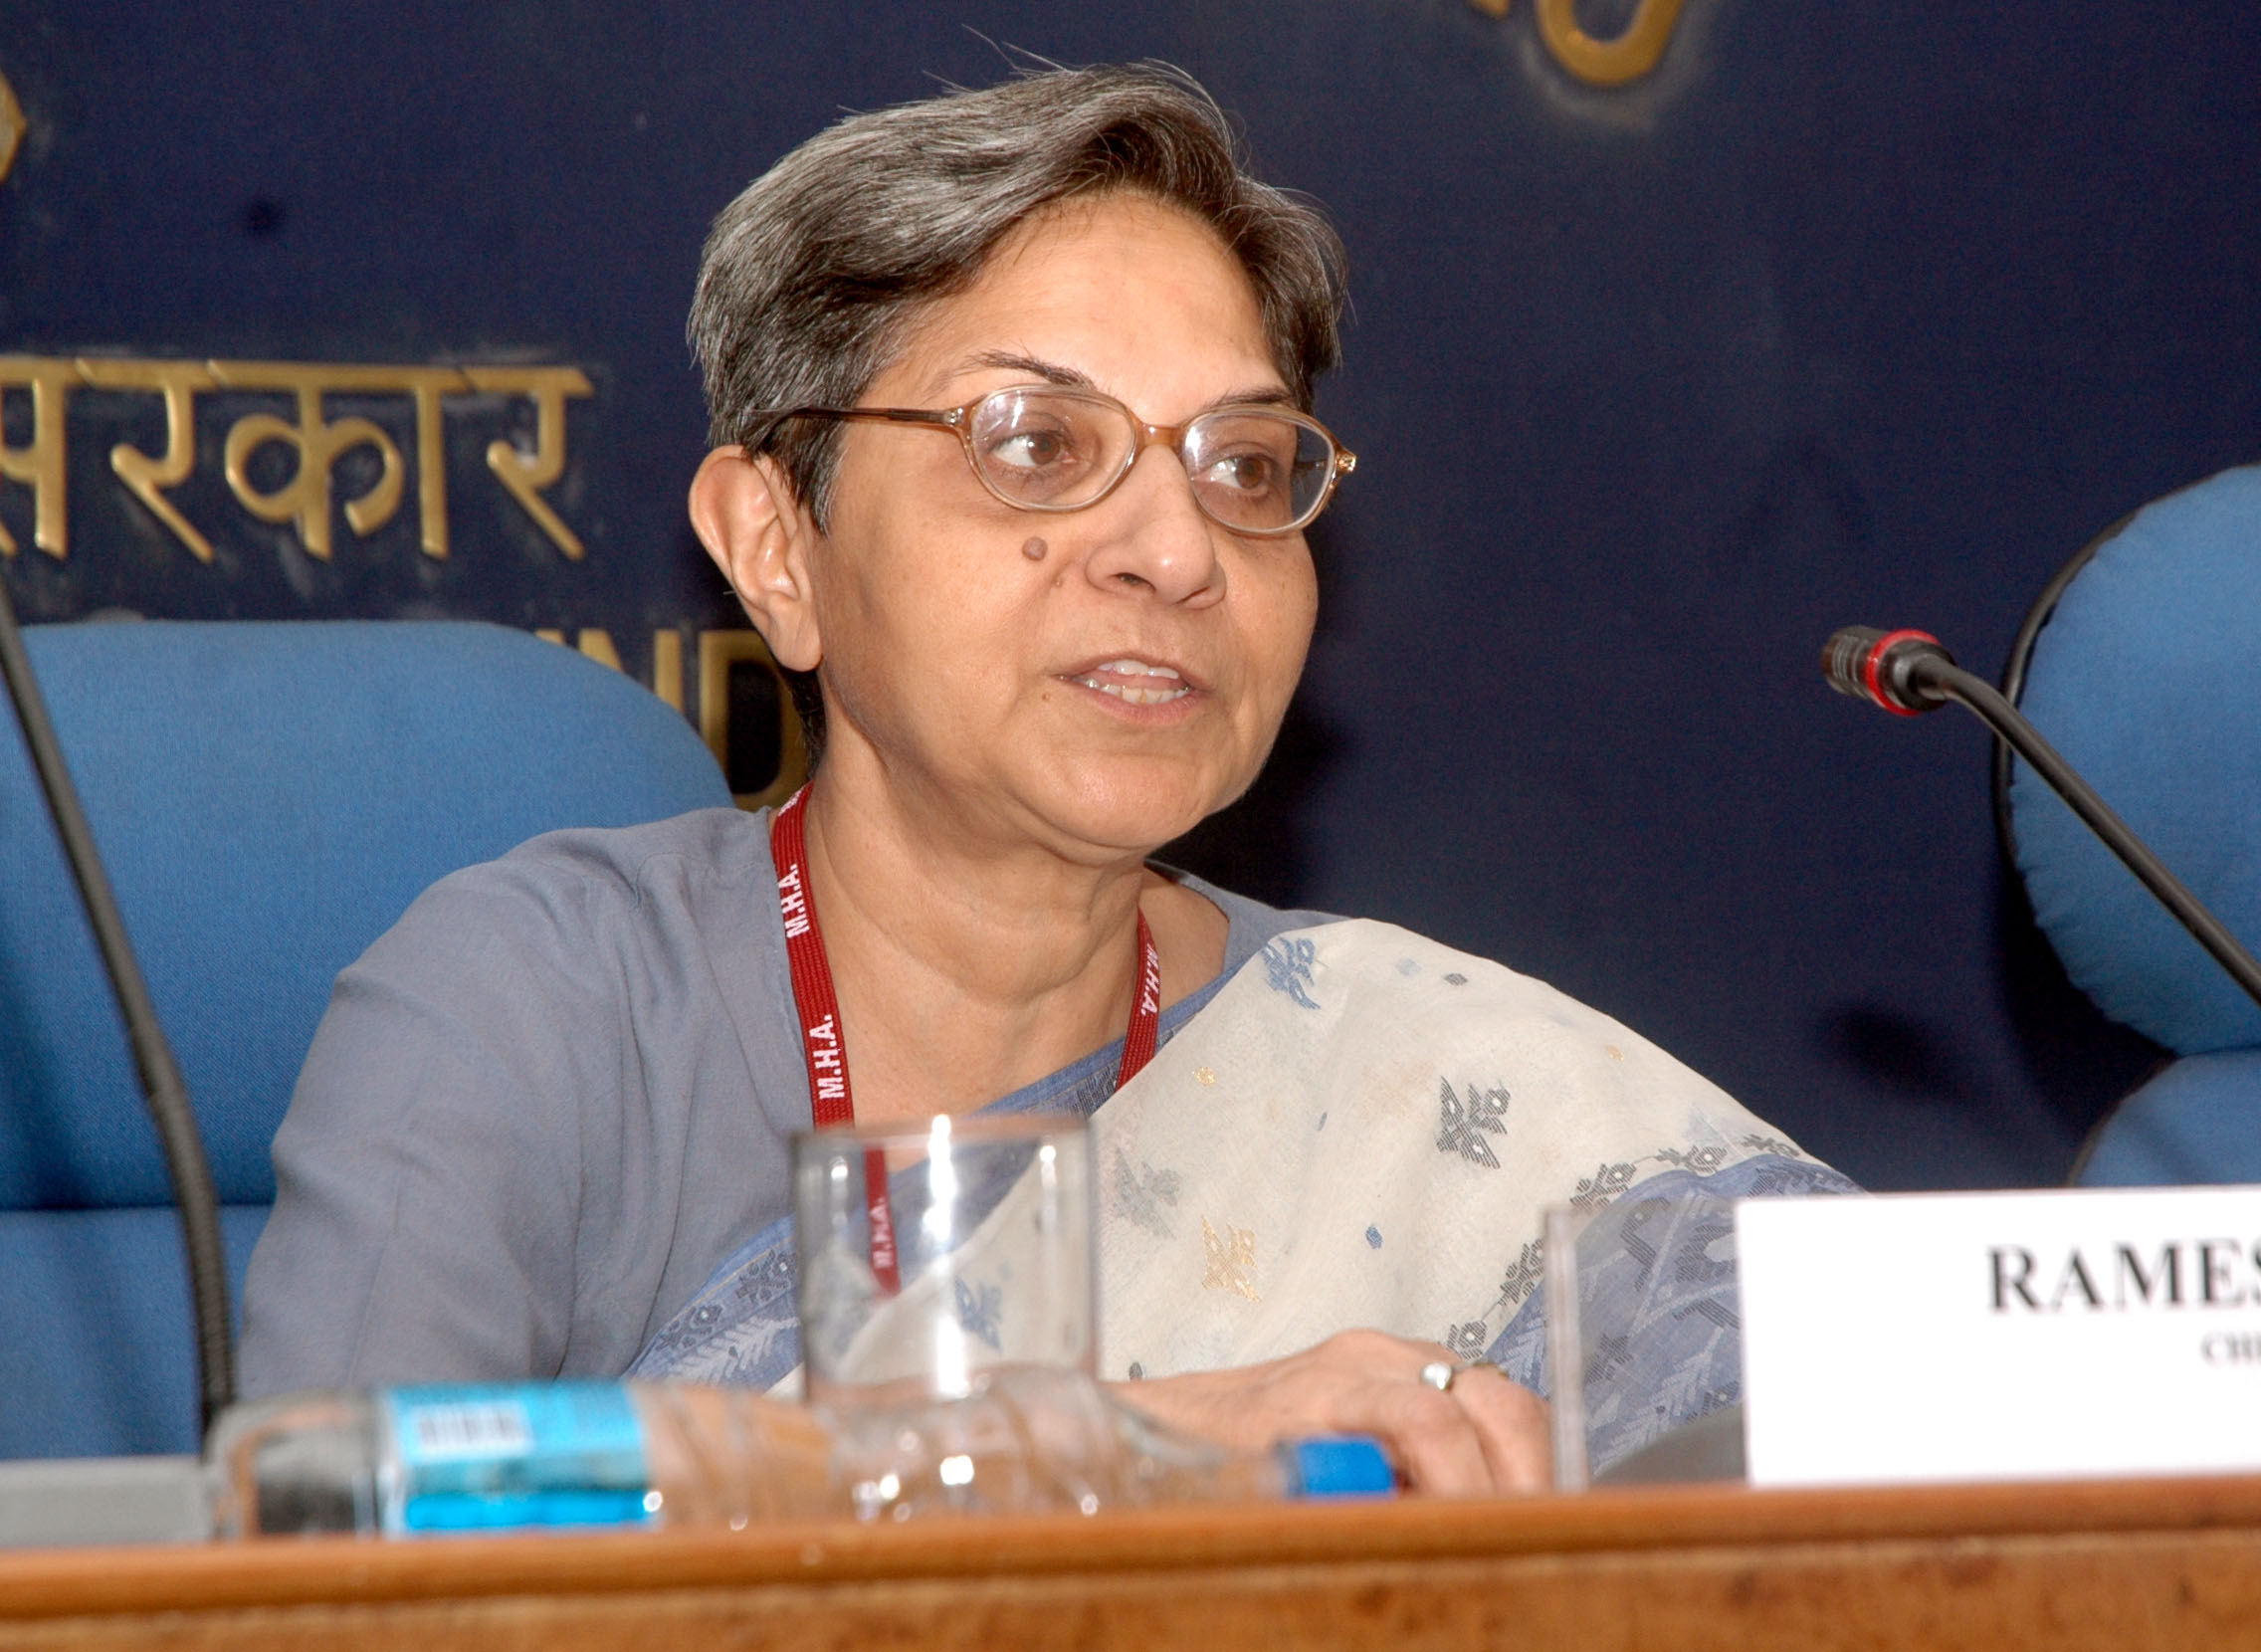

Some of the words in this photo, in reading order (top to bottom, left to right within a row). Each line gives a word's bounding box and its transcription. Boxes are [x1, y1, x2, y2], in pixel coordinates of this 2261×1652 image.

[0, 357, 598, 569] सरकार
[762, 852, 820, 947] M.H.A.
[804, 1013, 854, 1103] M.H.A.
[1991, 1239, 2248, 1318] RAME